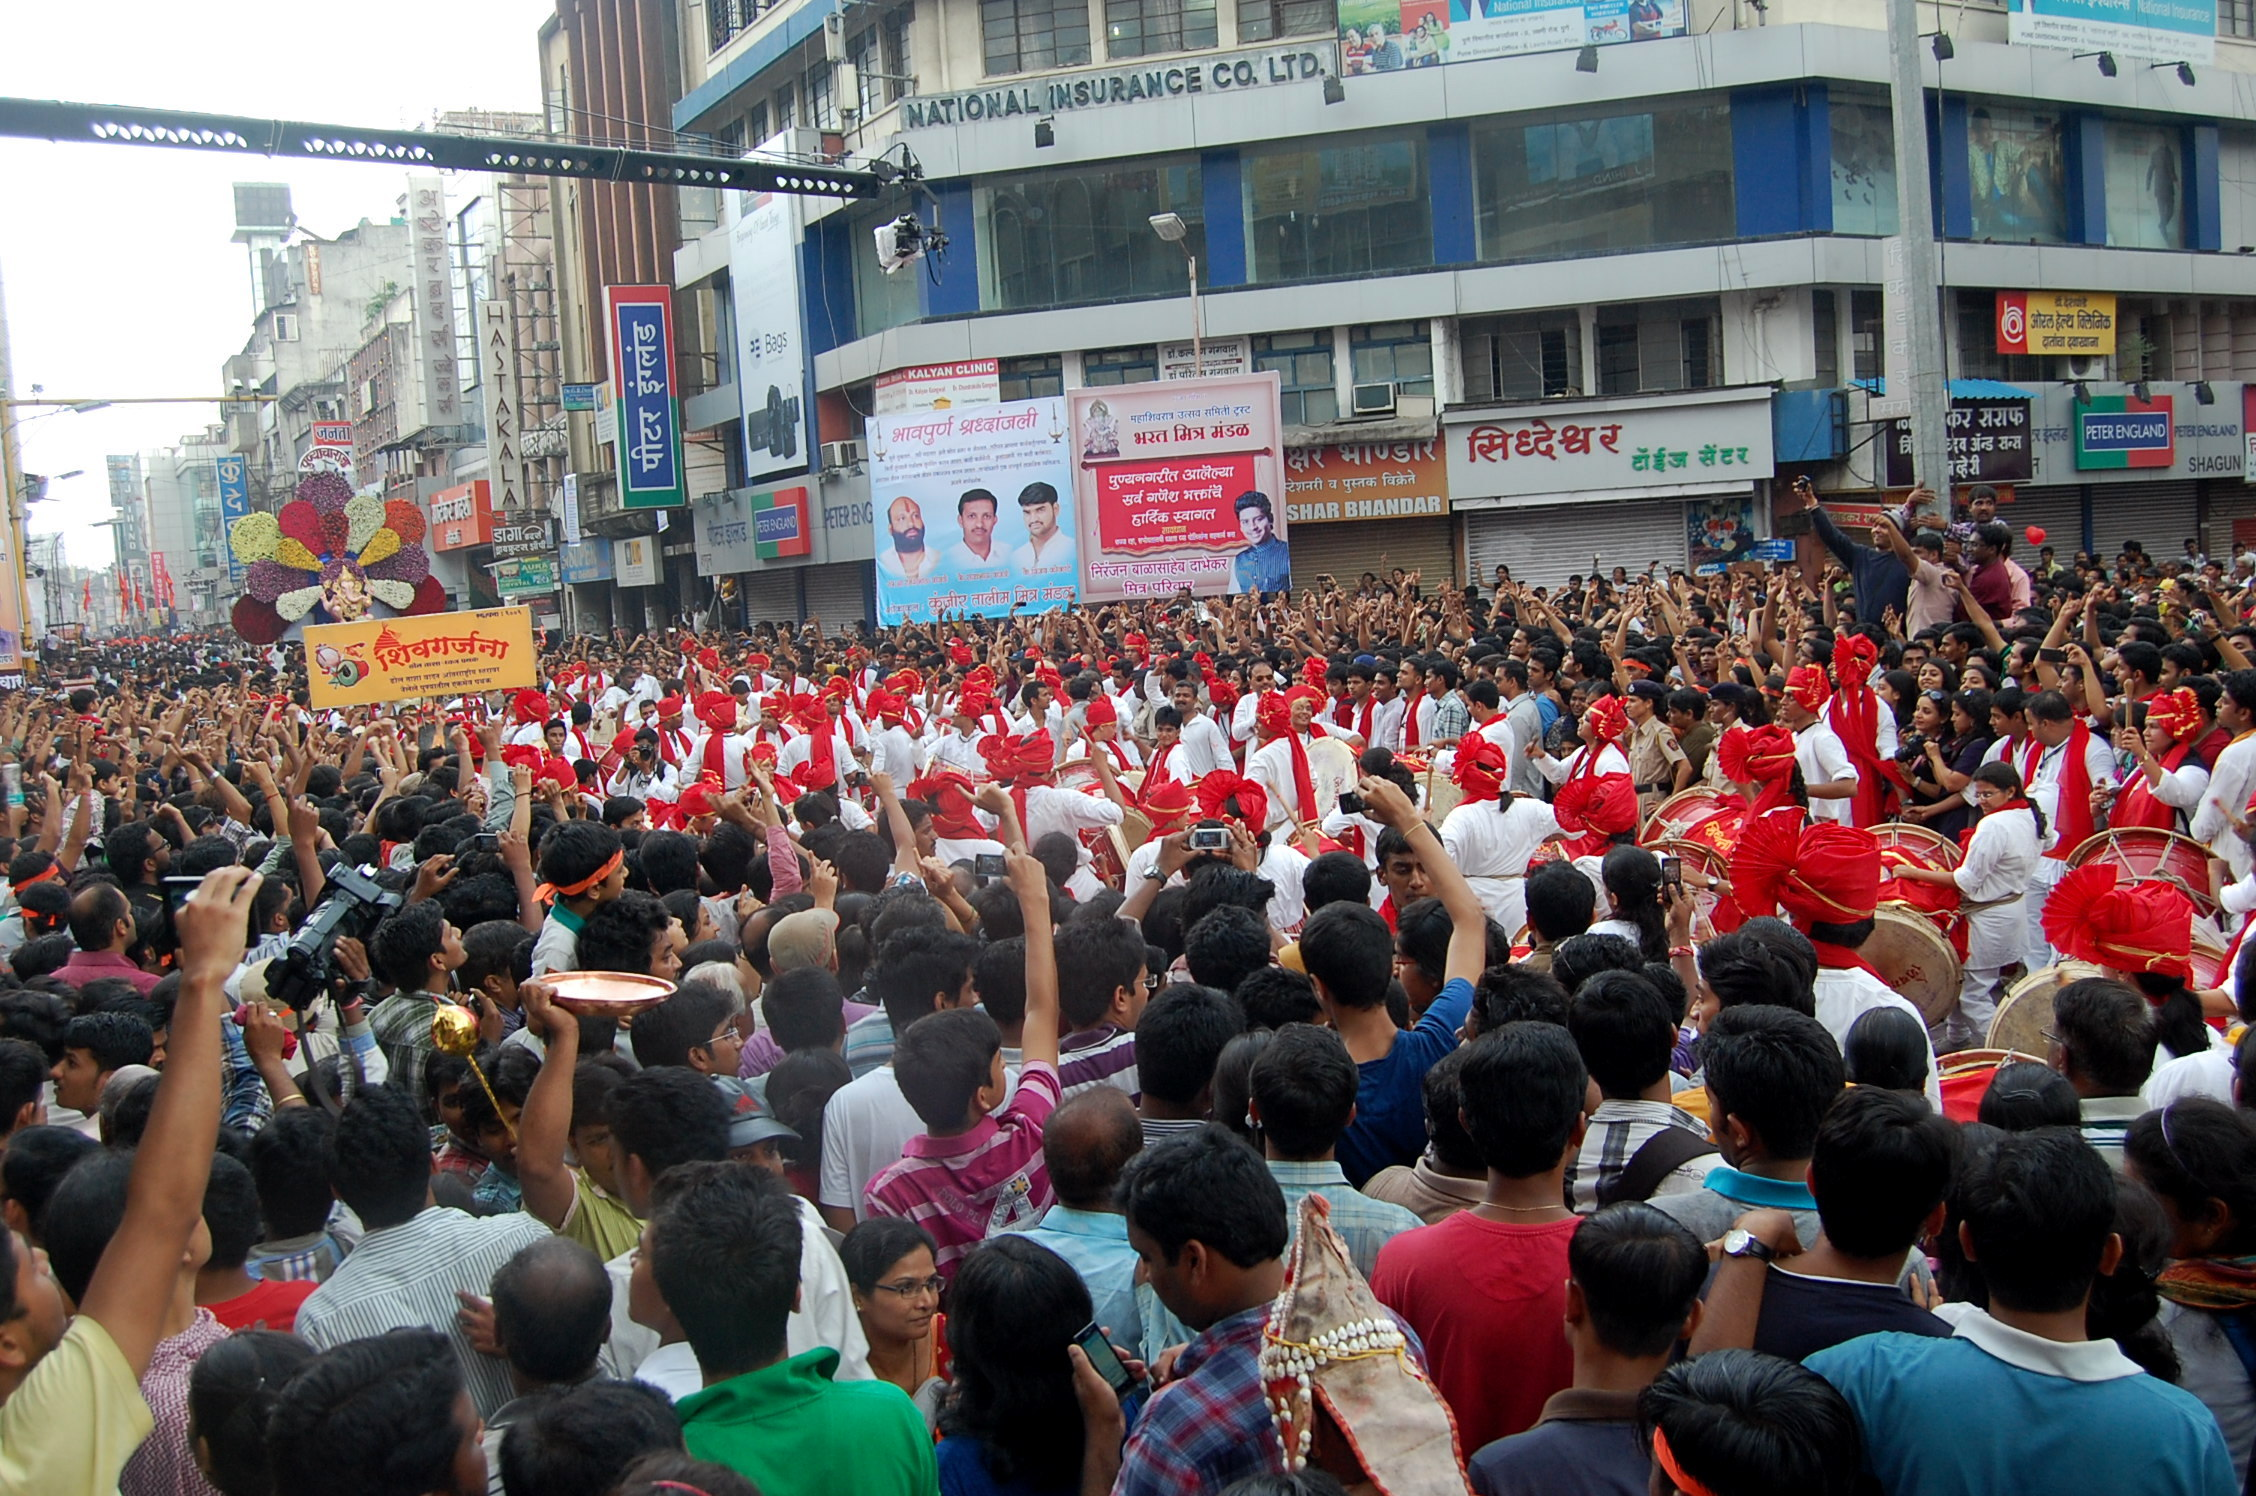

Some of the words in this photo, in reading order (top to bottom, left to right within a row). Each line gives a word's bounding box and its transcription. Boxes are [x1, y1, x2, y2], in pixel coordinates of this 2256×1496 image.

[1206, 51, 1267, 94] CO.
[1262, 40, 1332, 87] LTD.
[1043, 63, 1205, 117] INSURANCE
[901, 83, 1046, 135] NATIONAL
[2029, 303, 2056, 333] ओरल
[2054, 307, 2077, 333] हेल्थ
[2075, 308, 2116, 333] क्लिनिक
[761, 329, 793, 359] Bags
[622, 317, 669, 403] इंग्लंड
[905, 361, 955, 380] KALYAN
[954, 358, 999, 377] CLINIC
[217, 454, 246, 487] कुं
[219, 485, 251, 515] दे
[315, 422, 353, 445] जनता
[481, 301, 525, 509] HASTAKALA
[629, 403, 669, 478] पीटर
[822, 502, 852, 533] PETER
[849, 497, 875, 529] ENG
[888, 413, 959, 448] भावपुर्ण
[954, 403, 1043, 441] श्रध्दांजली
[1119, 487, 1145, 510] सर्व
[1106, 461, 1182, 495] पुण्यनगरीत
[1127, 505, 1171, 529] हार्दिक
[1129, 426, 1170, 449] भरत
[1127, 407, 1175, 427] महाशिवरात्र
[1145, 485, 1183, 505] गणॆश
[1170, 420, 1207, 445] मित्र
[1175, 405, 1203, 421] उत्सव
[1171, 505, 1223, 525] स्वागत
[1181, 482, 1227, 503] भक्तांचॆ
[1180, 460, 1239, 485] आलॆल्या
[1201, 400, 1231, 420] समिती
[1208, 419, 1255, 446] मंडळ
[1231, 401, 1256, 418] ट्रस्ट
[1285, 473, 1325, 497] स्टेशनरी
[1283, 446, 1333, 475] क्षर
[1325, 475, 1339, 494] व
[1339, 472, 1380, 495] पुस्तक
[1331, 435, 1442, 470] भाण्डार
[1341, 491, 1445, 518] BHANDAR
[1379, 467, 1422, 490] विक्रेते
[1461, 413, 1629, 467] सिध्देश्वर
[1627, 443, 1693, 475] टॉईज
[1693, 439, 1755, 468] सेंटर
[1967, 429, 1997, 455] ॲन्ड
[1976, 401, 2031, 429] सराफ
[1995, 431, 2027, 455] सन्स
[2085, 422, 2114, 442] PETER
[2114, 421, 2167, 441] ENGLAND
[2185, 451, 2243, 478] SHAGUN
[491, 523, 524, 545] डागा
[1085, 559, 1129, 580] निरंजन
[1128, 554, 1187, 578] बाळासाहेब
[1185, 552, 1231, 577] दाभेकर
[970, 584, 1012, 609] तालीम
[1013, 580, 1041, 607] मित्र
[1121, 579, 1149, 597] मित्र
[365, 620, 509, 675] शिवगर्जना